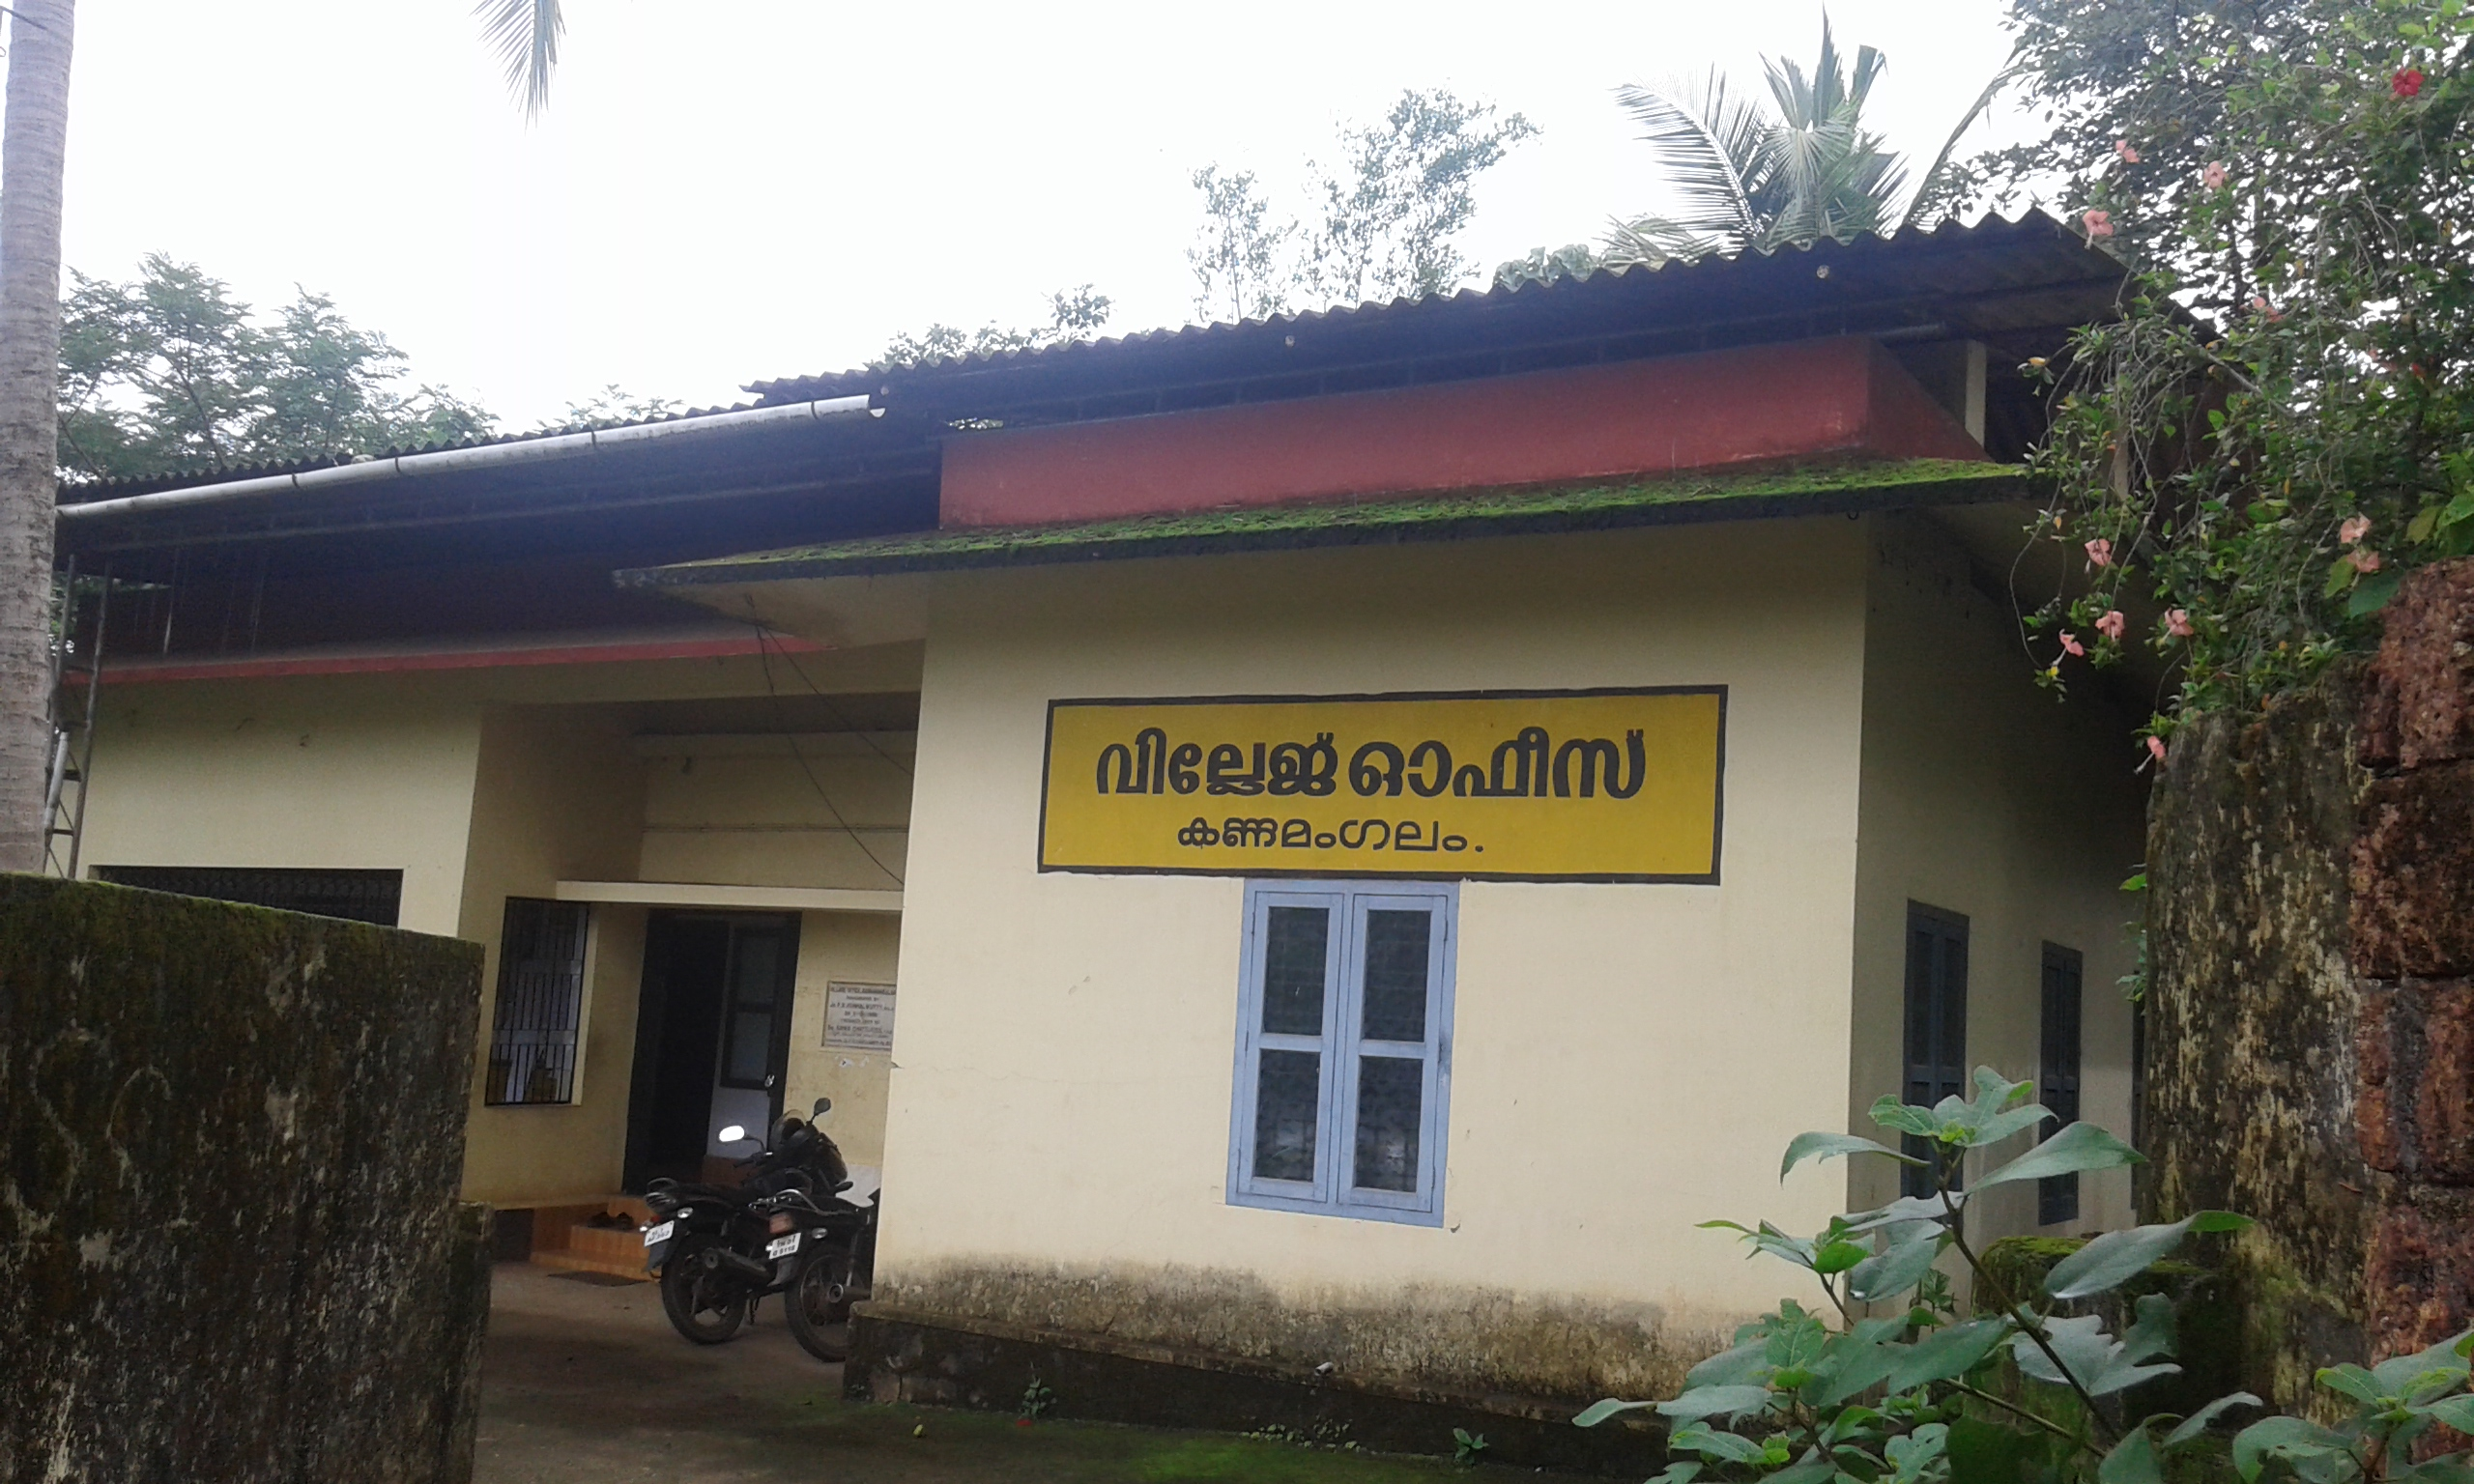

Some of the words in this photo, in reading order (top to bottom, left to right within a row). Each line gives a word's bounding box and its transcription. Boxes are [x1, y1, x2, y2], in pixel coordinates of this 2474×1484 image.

[1087, 711, 1343, 805] വില്ലേജ്
[1342, 719, 1649, 805] ഓഫീസ്
[1172, 803, 1488, 863] കണ്ണമംഗലം.